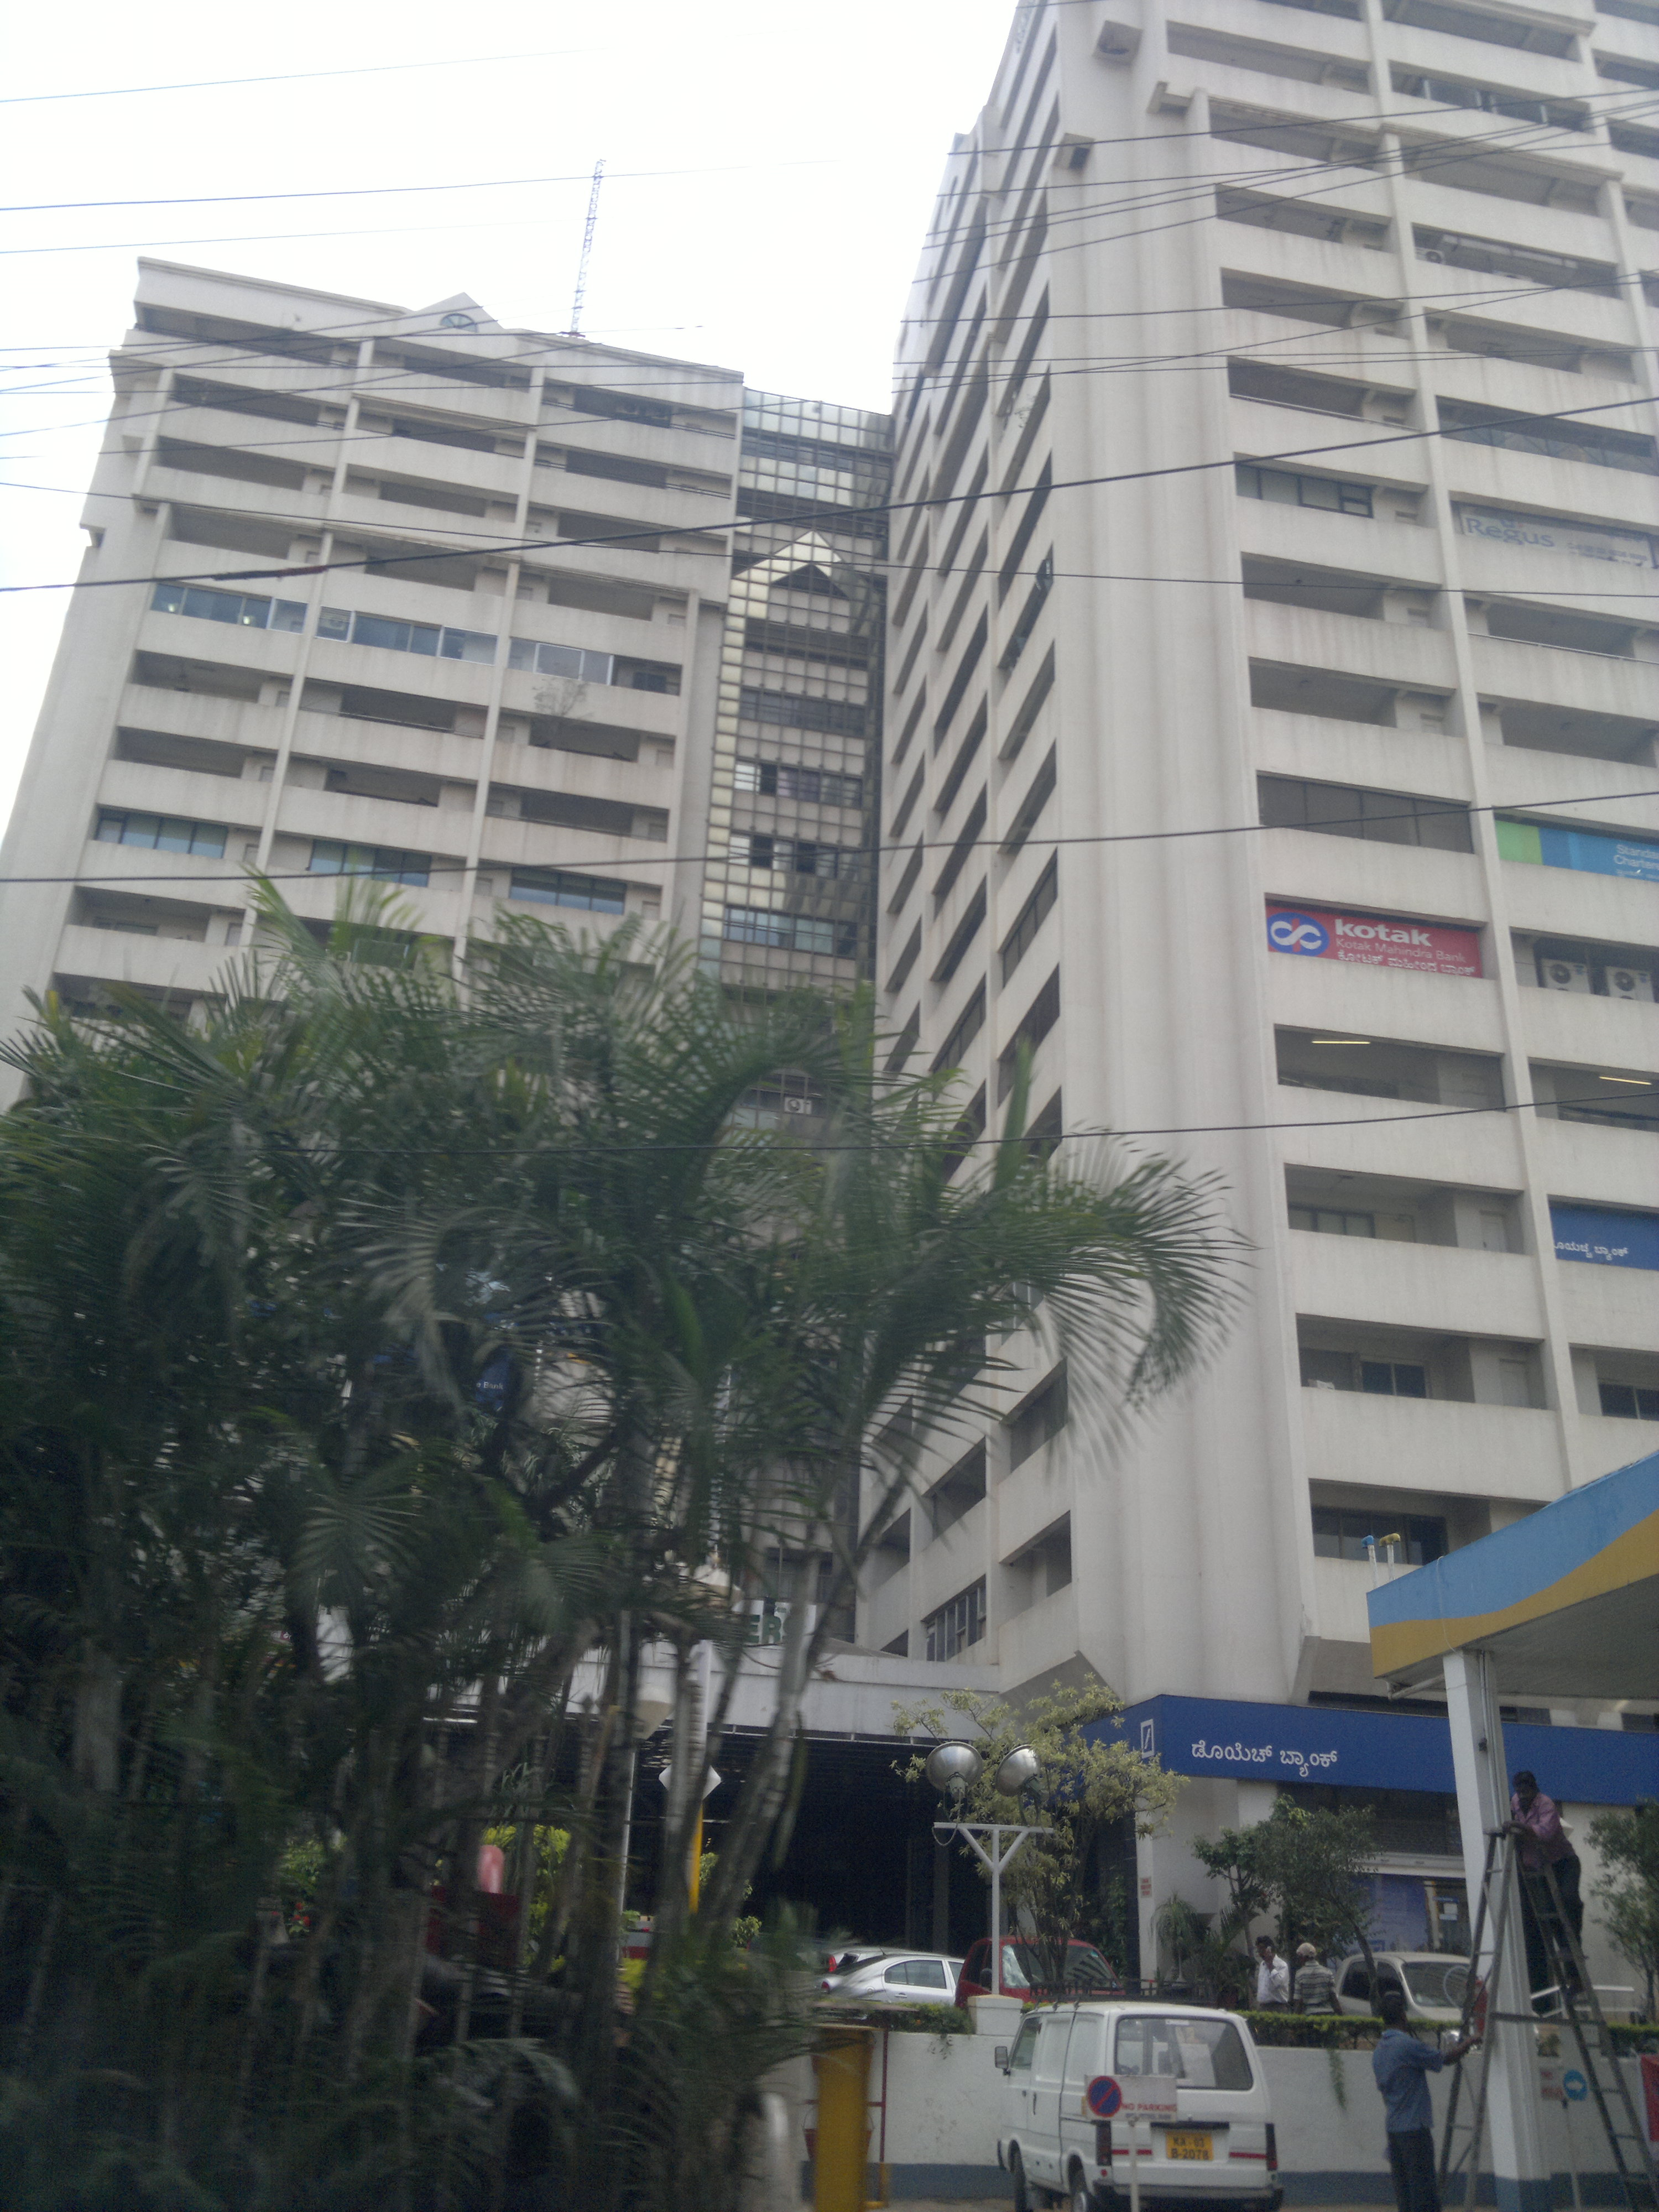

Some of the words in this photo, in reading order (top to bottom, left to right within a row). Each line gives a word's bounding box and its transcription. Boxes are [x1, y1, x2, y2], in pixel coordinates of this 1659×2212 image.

[1462, 509, 1559, 554] Regus
[1334, 933, 1374, 953] Kotak
[1334, 946, 1383, 967] ಕೋಟಕ್
[1332, 916, 1433, 948] kotak
[1373, 940, 1434, 963] Mahindra
[1384, 952, 1441, 973] ಮಹಿಂದ್ರಾ
[1436, 946, 1468, 965] Bank
[1433, 961, 1476, 977] ಬ್ಯಾಂಕ್
[1548, 1237, 1597, 1261] ಕೊಯಚ್ಚ
[1592, 1242, 1630, 1263] ಬ್ಯಾಂಕ್
[1188, 1736, 1276, 1765] ಡೊಯೆಚ್
[1274, 1746, 1342, 1779] ಬ್ಯಾಂಕ್